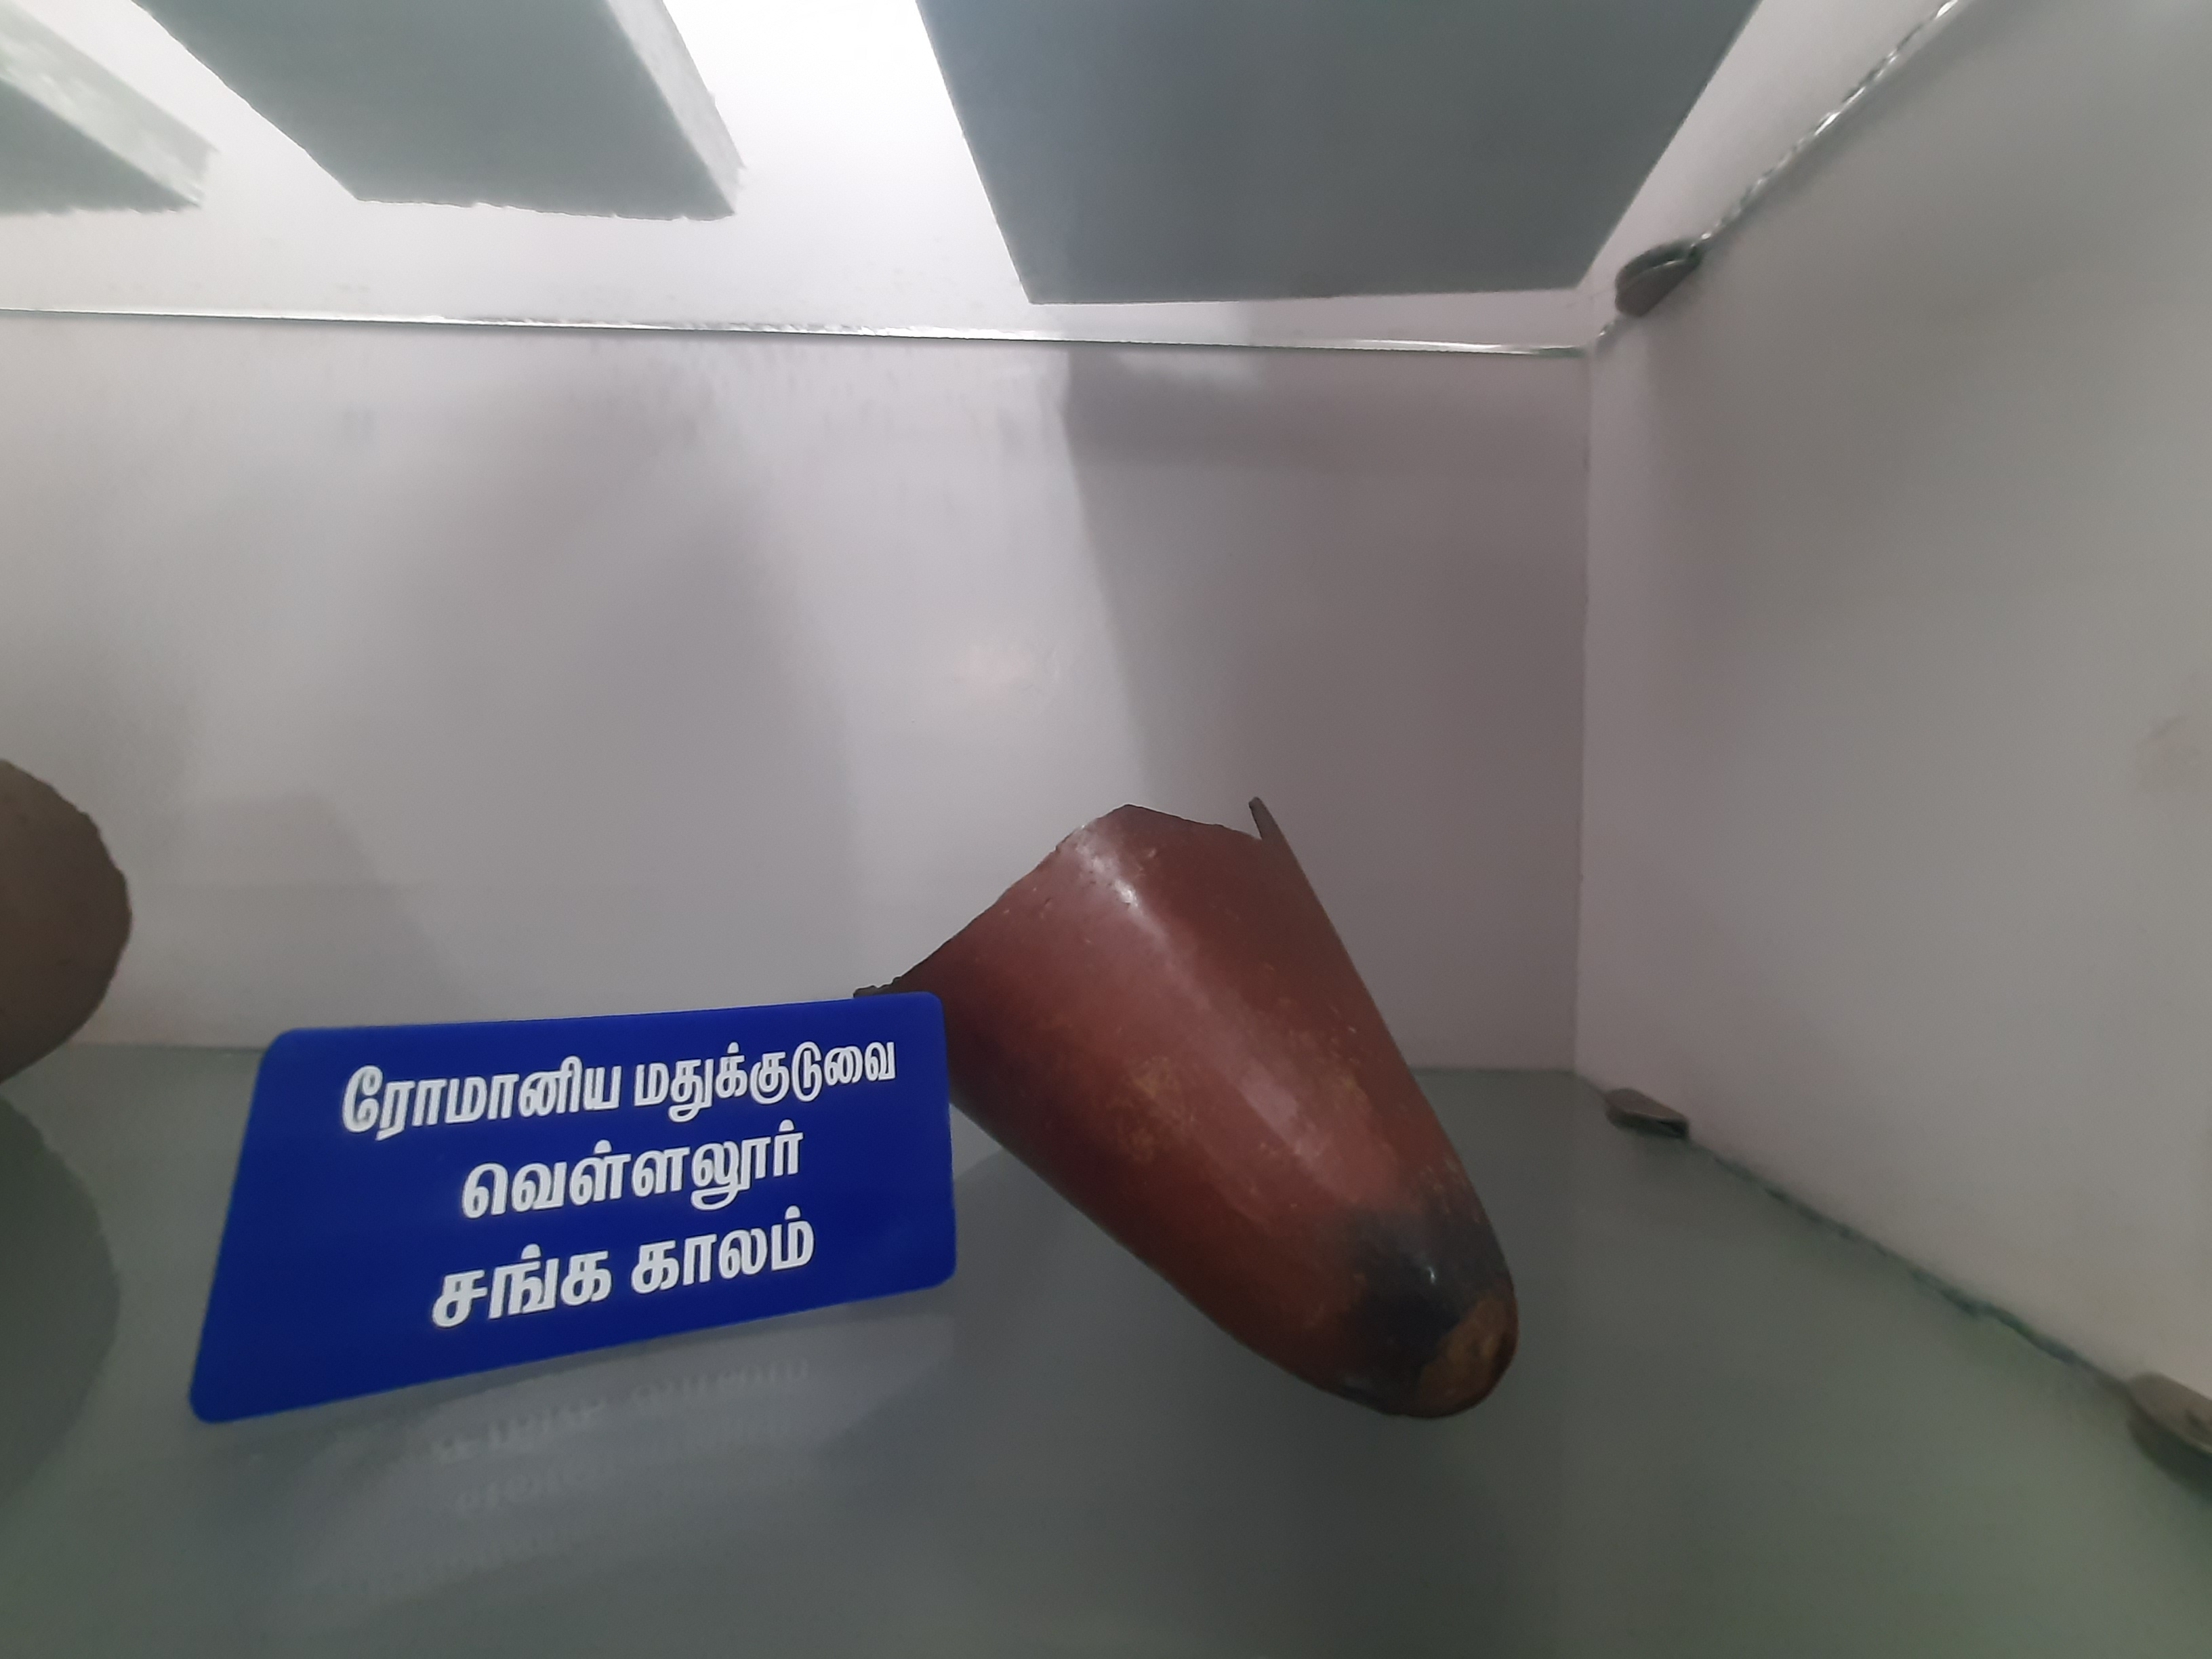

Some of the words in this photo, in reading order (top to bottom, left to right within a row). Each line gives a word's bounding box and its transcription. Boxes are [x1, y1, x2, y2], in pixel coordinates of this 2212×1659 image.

[329, 1046, 625, 1144] ரோமானிய
[629, 1034, 900, 1128] மதுக்குடுவை
[457, 1113, 808, 1222] வெள்ளலூா்
[429, 1237, 617, 1334] சங்க
[626, 1199, 818, 1300] காலம்